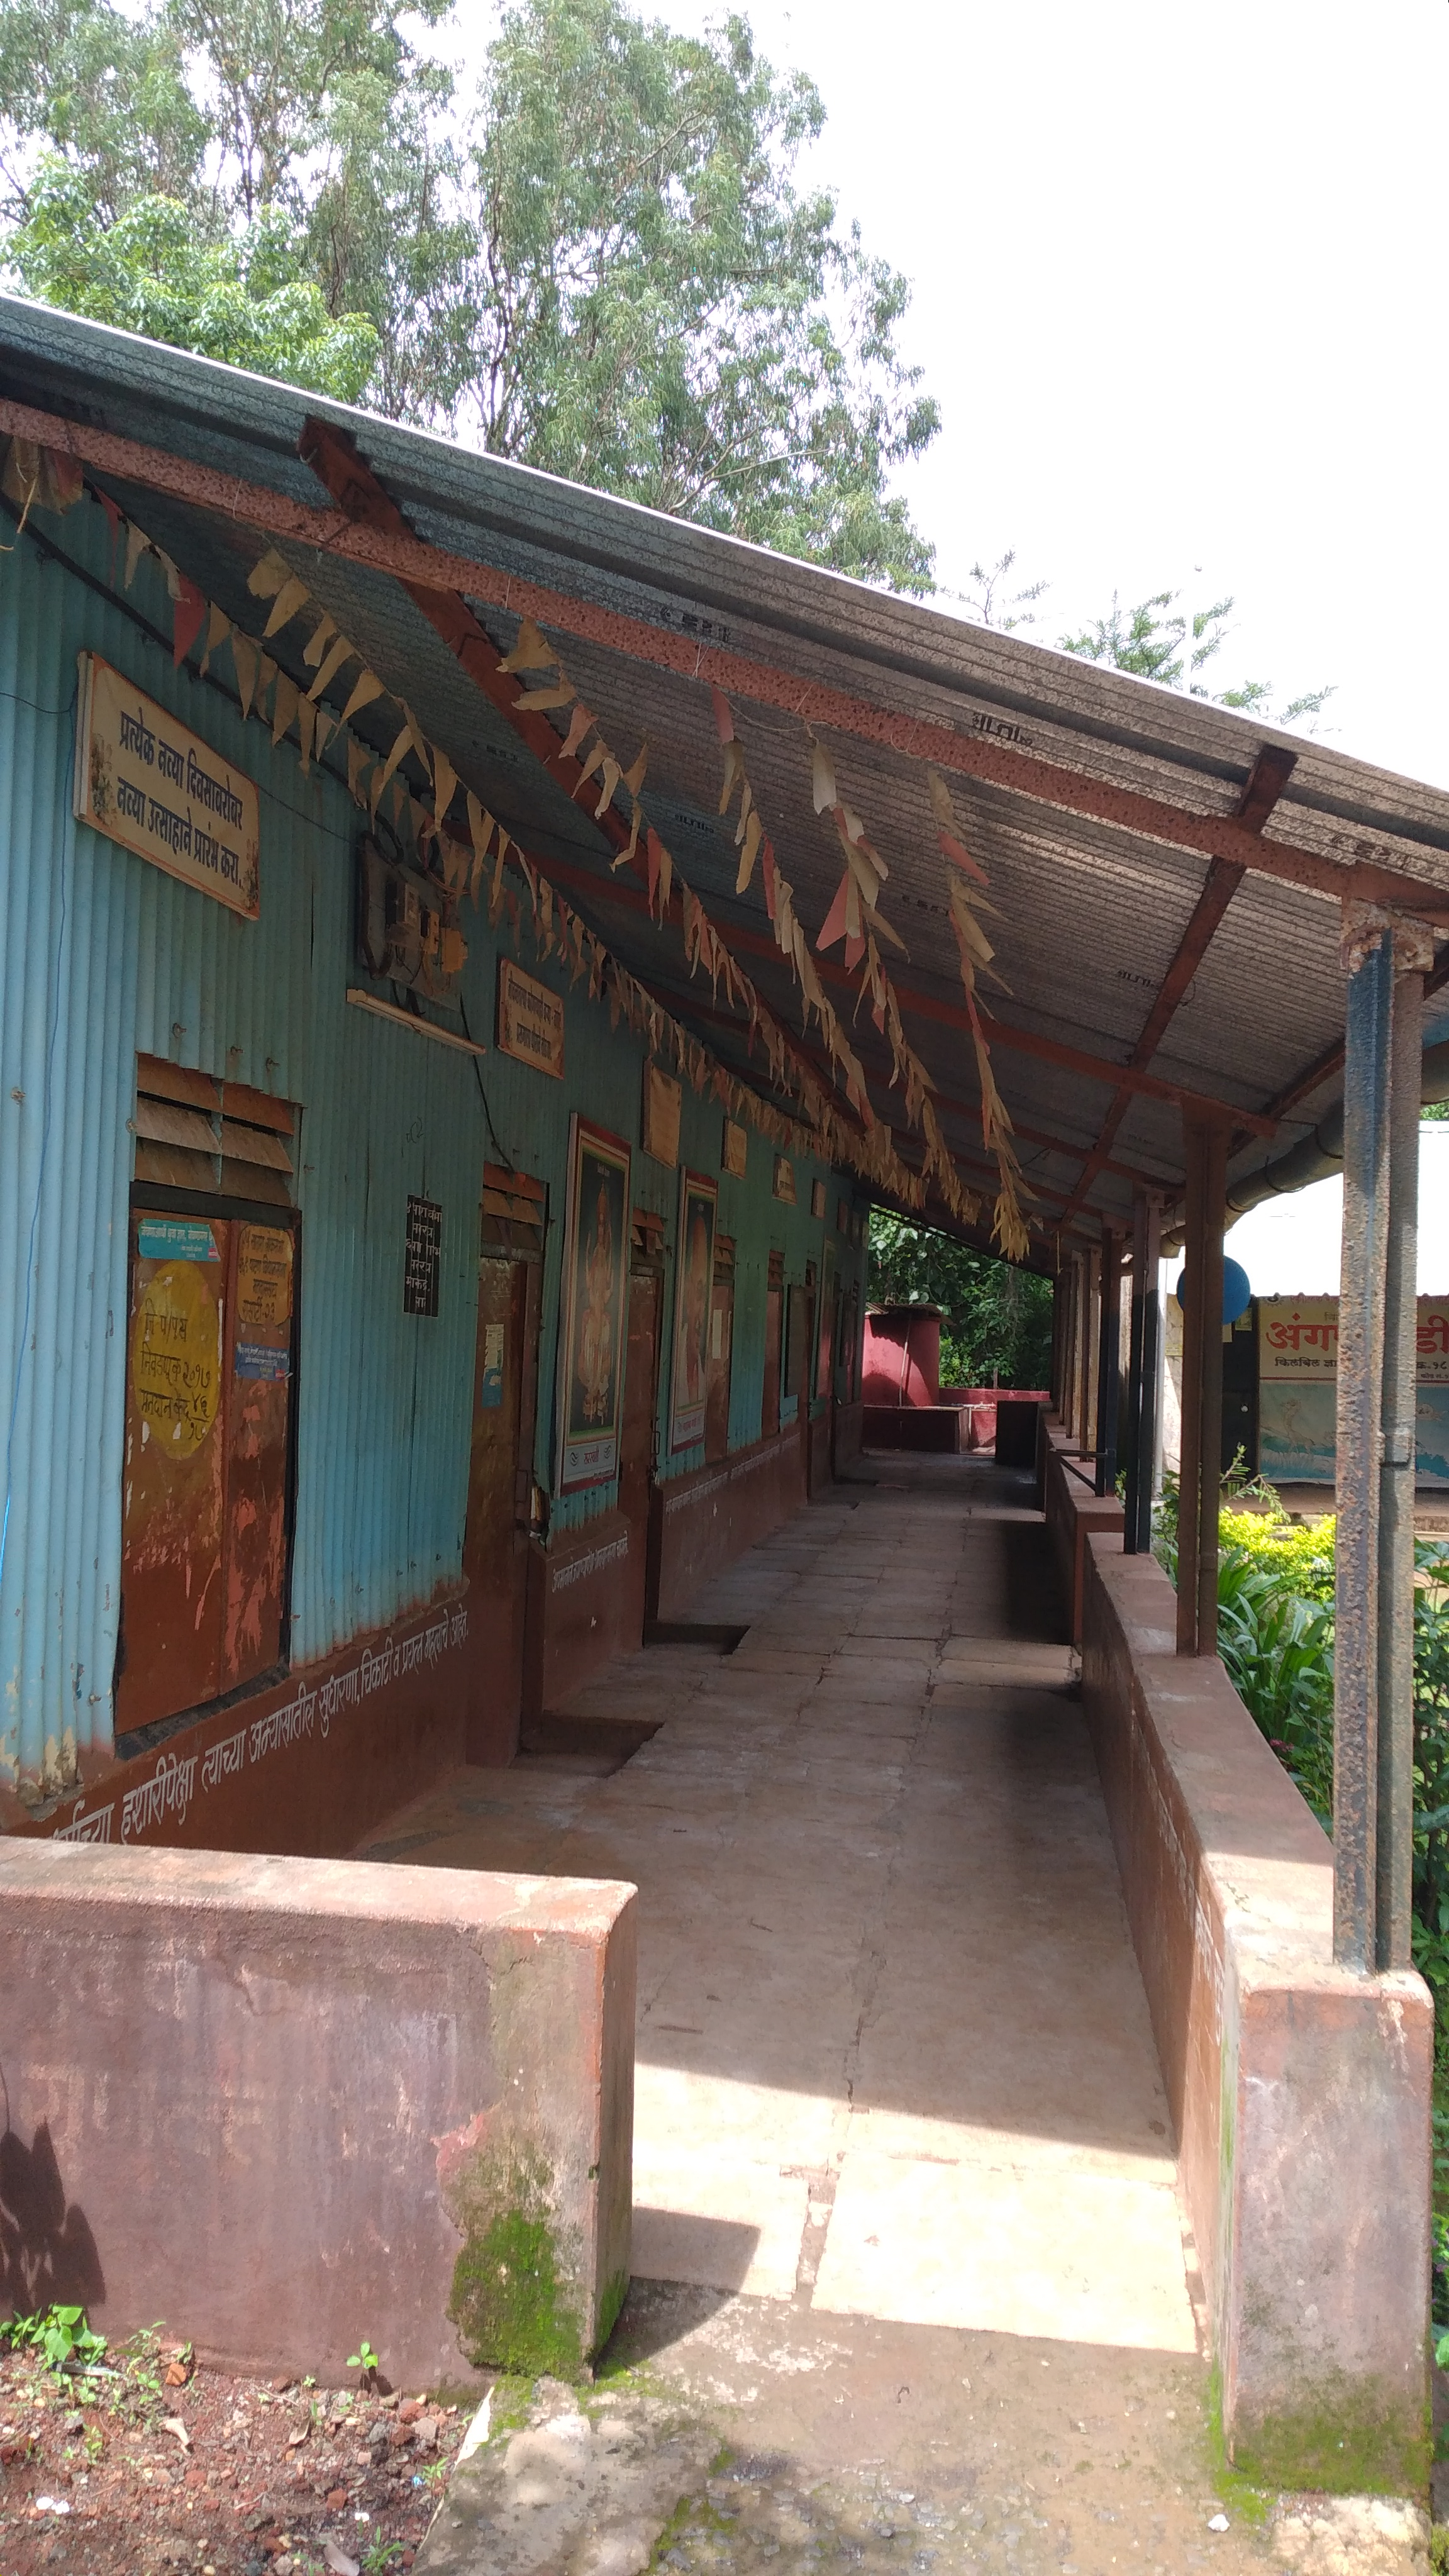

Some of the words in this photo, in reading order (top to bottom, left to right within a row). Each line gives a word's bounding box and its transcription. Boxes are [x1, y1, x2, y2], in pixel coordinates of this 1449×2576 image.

[114, 774, 149, 833] नव्या
[114, 701, 159, 769] प्रत्येक
[144, 789, 194, 860] उत्साहाने
[153, 735, 187, 794] नव्या
[192, 818, 221, 877] प्रारंभ
[184, 745, 246, 832] दिवसाबरोबर
[218, 840, 245, 890] करा.
[1261, 1304, 1332, 1355] अंग
[246, 1678, 318, 1767] अभ्यासातील
[316, 1662, 363, 1745] सुधारणा,
[114, 1745, 200, 1846] हशारीपेक्षा
[199, 1725, 248, 1797] त्‍याच्या